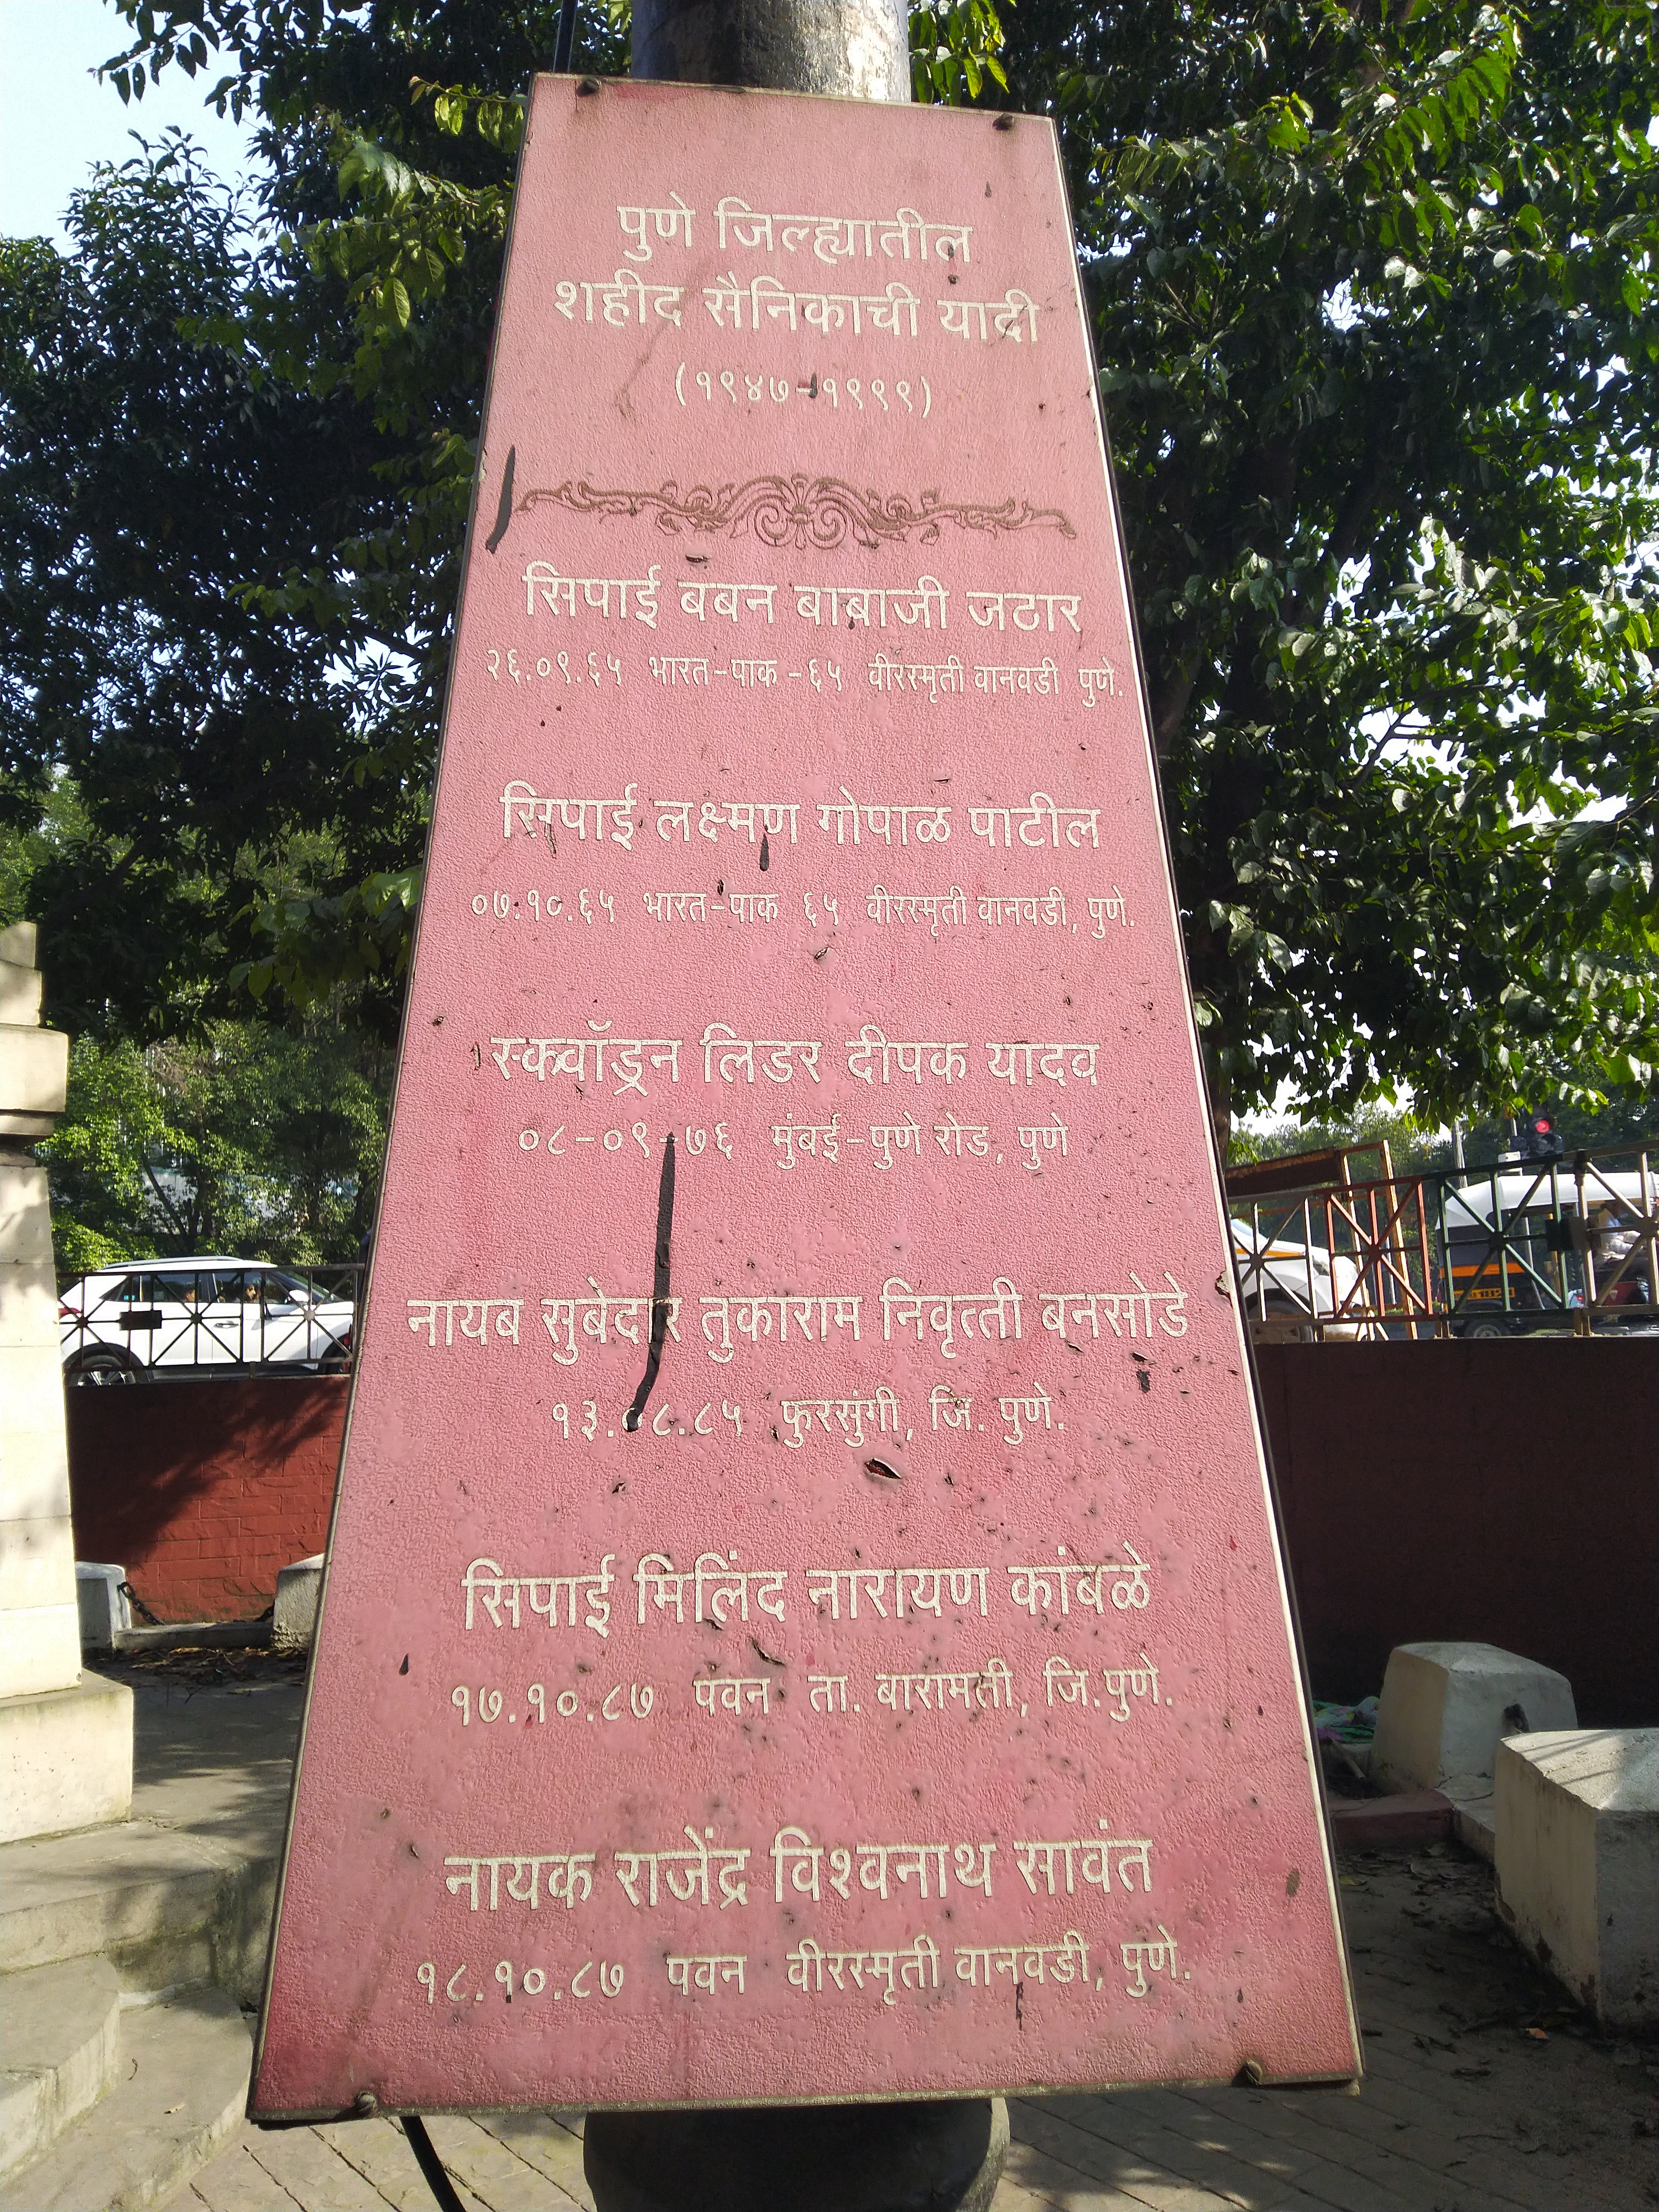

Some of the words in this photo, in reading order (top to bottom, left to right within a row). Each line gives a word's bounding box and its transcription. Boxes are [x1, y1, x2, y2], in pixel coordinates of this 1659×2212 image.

[611, 188, 699, 266] पुणे
[707, 192, 977, 271] जिल्ह्यातील
[550, 265, 688, 333] शहीद
[691, 265, 928, 343] सैनिकाची
[932, 282, 1046, 349] यादी
[671, 359, 937, 425] (१९४७-१९९९)
[512, 554, 670, 631] सिपाई
[670, 578, 784, 632] बबन
[785, 571, 956, 635] बाबाजी
[957, 589, 1089, 641] जठार
[479, 645, 629, 693] २६.०९.६५
[642, 653, 729, 691] भारत-
[729, 651, 849, 697] पाक-६५
[860, 648, 969, 707] वीरस्मृती
[971, 655, 1064, 702] वानवडी
[1068, 651, 1128, 716] पुणे.
[492, 775, 641, 855] सिपाई
[643, 795, 806, 851] लक्ष्मण
[813, 781, 959, 855] गोपाळ
[962, 787, 1110, 857] पाटील
[465, 881, 624, 927] ०७.१०.६५
[635, 885, 791, 931] भारत-पाक
[795, 881, 847, 937] ६५
[859, 880, 972, 942] वीरस्मृती
[969, 882, 1083, 934] वानवडी,
[1077, 881, 1140, 946] पुणे.
[477, 1012, 691, 1103] स्कवॉड्रन
[696, 1016, 830, 1092] लिडर
[839, 1010, 978, 1093] दीपक
[979, 1039, 1110, 1093] यादव
[505, 1113, 740, 1163] ०८-०९-७६
[760, 1105, 868, 1182] मुंबई-
[865, 1107, 928, 1176] पुणे
[928, 1109, 1006, 1174] रोड,
[1008, 1106, 1077, 1176] पुणे
[400, 1294, 531, 1355] नायब
[533, 1270, 691, 1374] सुबेदार
[691, 1290, 872, 1367] तुकाराम
[875, 1270, 1032, 1362] निवृत्‍ती
[1031, 1262, 1199, 1350] बनसोडे
[538, 1387, 749, 1448] १३.०८.८५
[772, 1378, 923, 1457] फुरसुंगी,
[917, 1379, 989, 1444] जि.
[988, 1376, 1071, 1452] पुणे.
[446, 1546, 625, 1645] सिपाई
[625, 1538, 802, 1630] मिलिंद
[797, 1561, 999, 1627] नारायण
[1001, 1533, 1172, 1626] कांबळे
[441, 1676, 668, 1739] १७.१०.८७
[680, 1666, 781, 1725] पवन
[797, 1666, 865, 1723] ता.
[869, 1647, 1036, 1724] बारामती,
[1034, 1651, 1103, 1723] जि.
[1095, 1645, 1180, 1731] पुणे.
[434, 1848, 604, 1918] नायक
[606, 1815, 757, 1916] राजेंद्र
[762, 1822, 1001, 1922] विश्वनाथ
[1004, 1812, 1166, 1903] सावंत
[408, 1954, 637, 2012] १८.१०.८७
[658, 1953, 757, 2003] पवन
[765, 1931, 945, 2014] वीरस्मृती
[948, 1922, 1112, 2002] वानवडी,
[1113, 1918, 1198, 2008] पुणे.